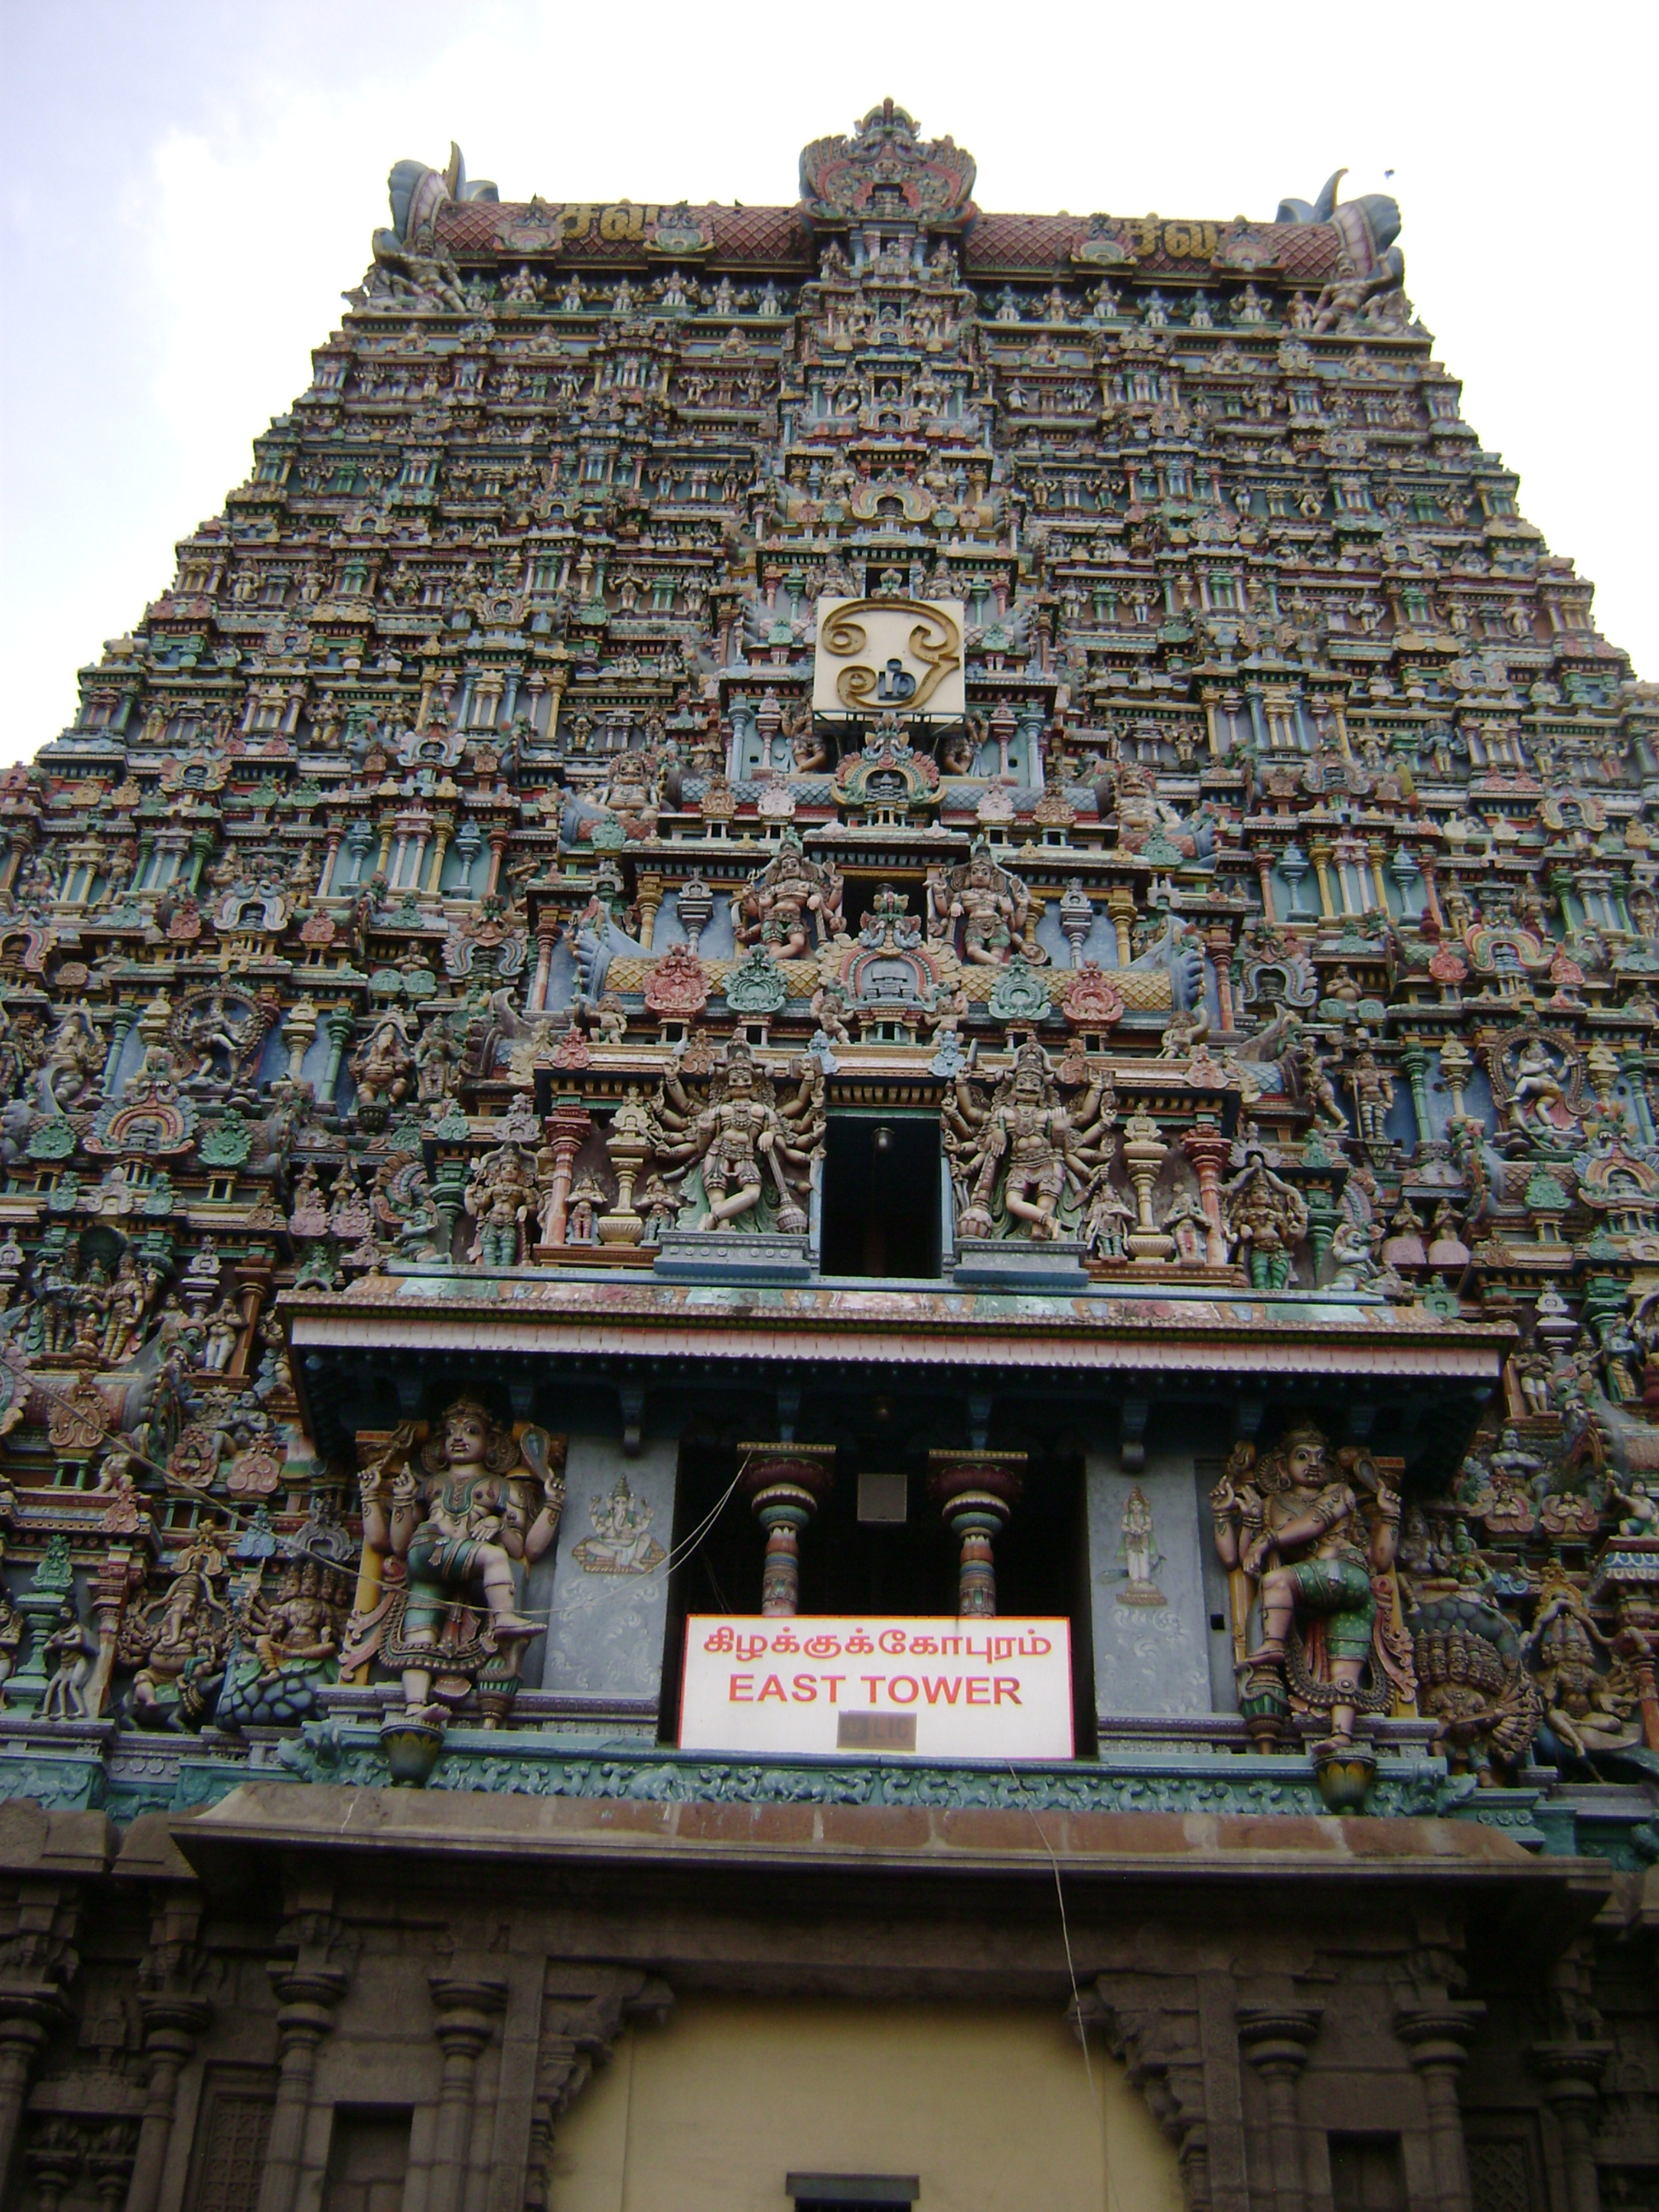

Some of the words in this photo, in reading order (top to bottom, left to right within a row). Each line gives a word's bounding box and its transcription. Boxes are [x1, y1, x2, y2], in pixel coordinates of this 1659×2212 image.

[700, 1621, 1057, 1668] கிழக்குக்கோபுரம்,
[724, 1670, 849, 1706] EAST
[856, 1671, 1027, 1710] TOWER
[870, 1714, 915, 1743] LIC